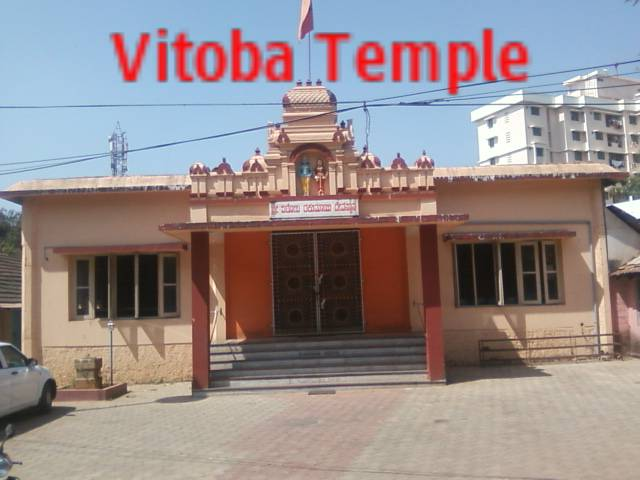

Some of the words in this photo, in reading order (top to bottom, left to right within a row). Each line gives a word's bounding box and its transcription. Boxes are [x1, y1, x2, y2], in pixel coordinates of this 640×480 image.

[108, 19, 298, 86] Vitoba
[315, 18, 534, 98] Temple